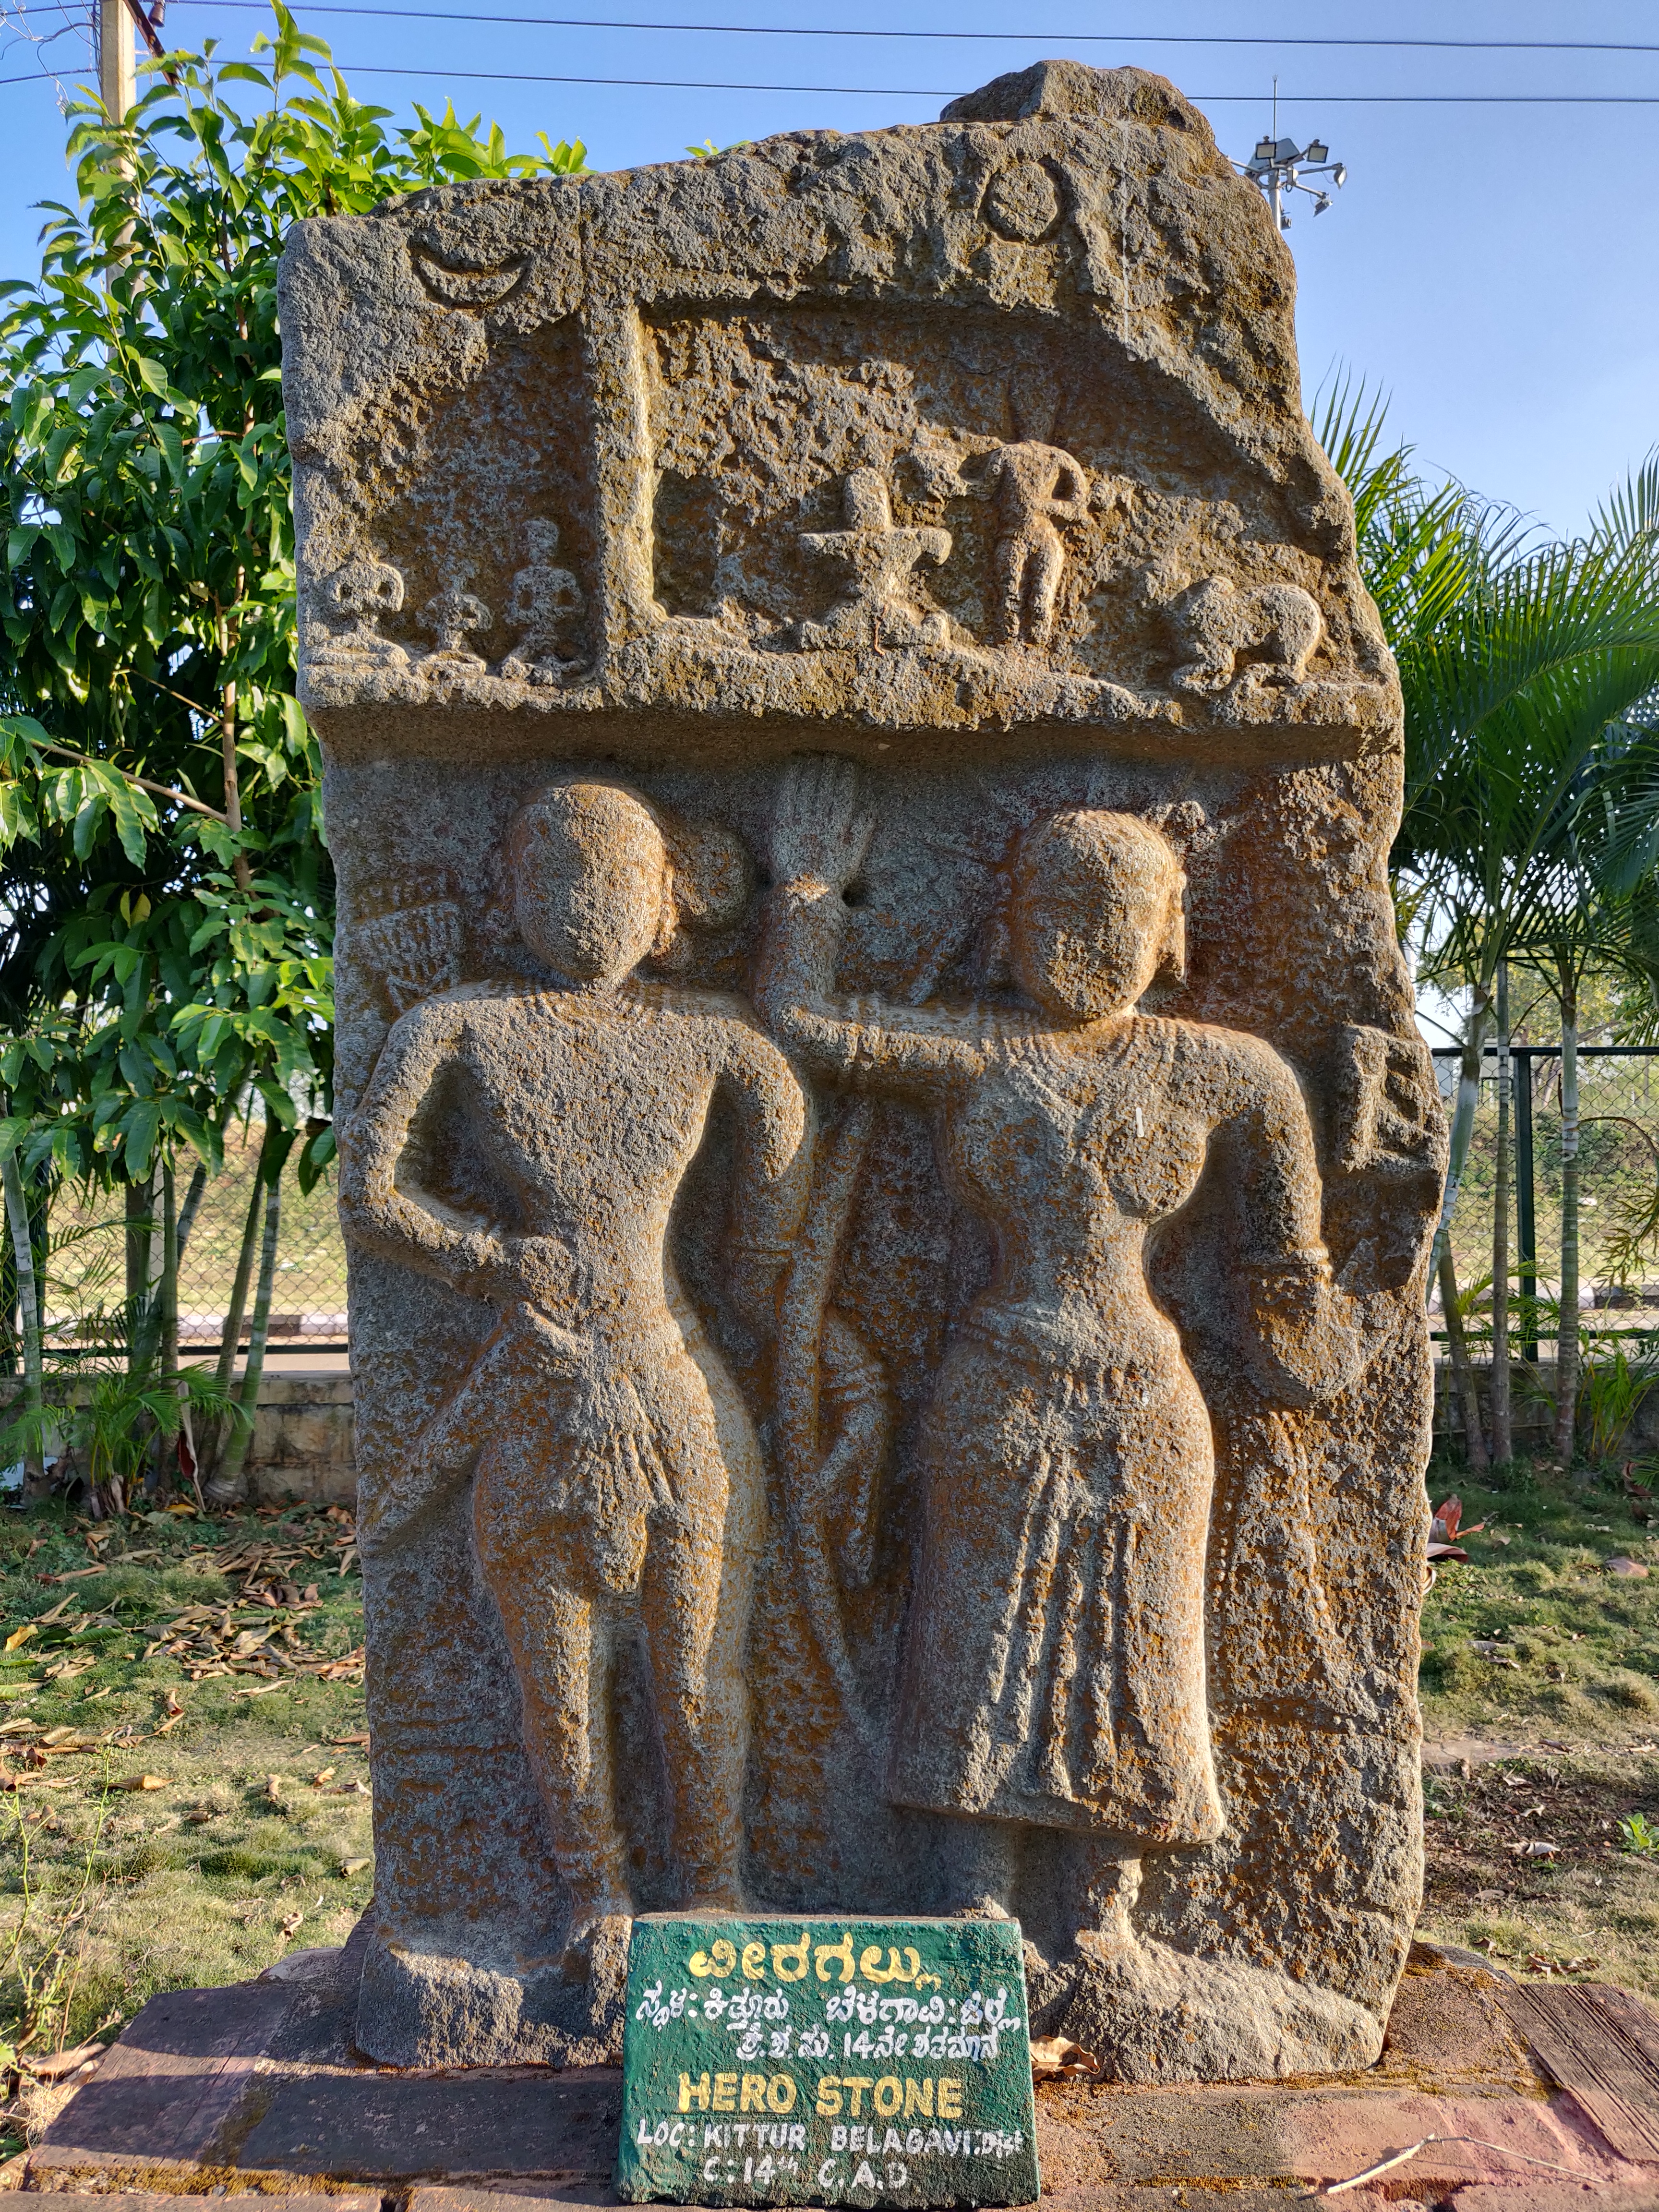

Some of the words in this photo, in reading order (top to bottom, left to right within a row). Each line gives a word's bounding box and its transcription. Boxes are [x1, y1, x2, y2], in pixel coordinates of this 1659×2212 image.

[685, 1930, 946, 1995] ವೀರಗಲ್ಲು
[629, 1978, 701, 2036] ಸ್ಥಳಃ
[701, 1980, 795, 2034] ಕಿತ್ತೂರು
[821, 1981, 950, 2027] ಬೆಳಗಾವಿ
[958, 1985, 1025, 2034] ಜಿಲ್ಲೆ
[839, 2023, 1002, 2066] 14ನೇಶತಮುನ
[672, 2068, 804, 2117] HERO
[811, 2072, 964, 2121] STONE
[634, 2116, 699, 2149] LOC:
[699, 2121, 810, 2152] KITTUR
[826, 2119, 973, 2157] BELAGAVI
[976, 2126, 1029, 2161] Dist
[701, 2151, 803, 2187] c:14th
[813, 2153, 912, 2193] C.A.D